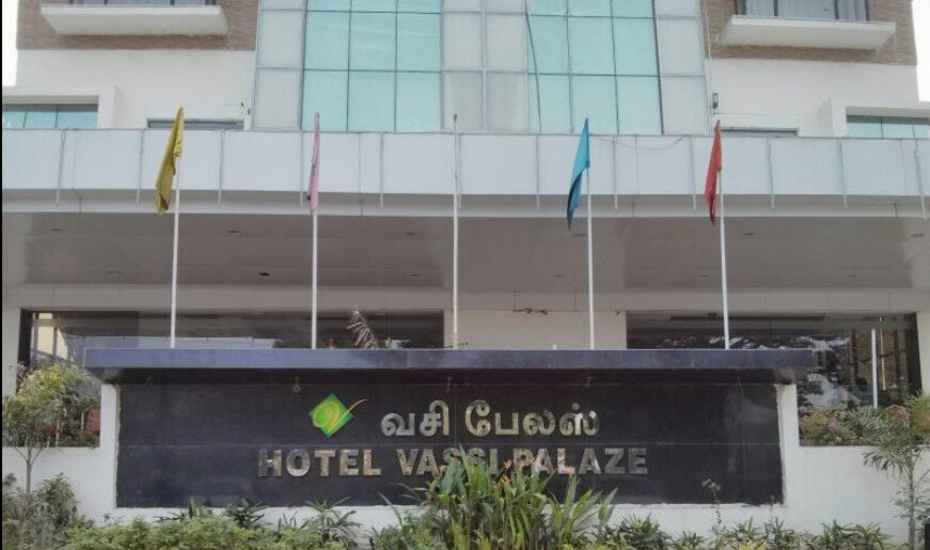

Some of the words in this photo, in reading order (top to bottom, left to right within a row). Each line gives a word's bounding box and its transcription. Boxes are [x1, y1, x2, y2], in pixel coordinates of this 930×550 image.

[374, 397, 452, 441] வசி
[459, 390, 606, 442] பேலஸ்
[250, 441, 388, 485] HOTEL
[394, 443, 501, 481] VASSI
[503, 441, 651, 481] PALAZE